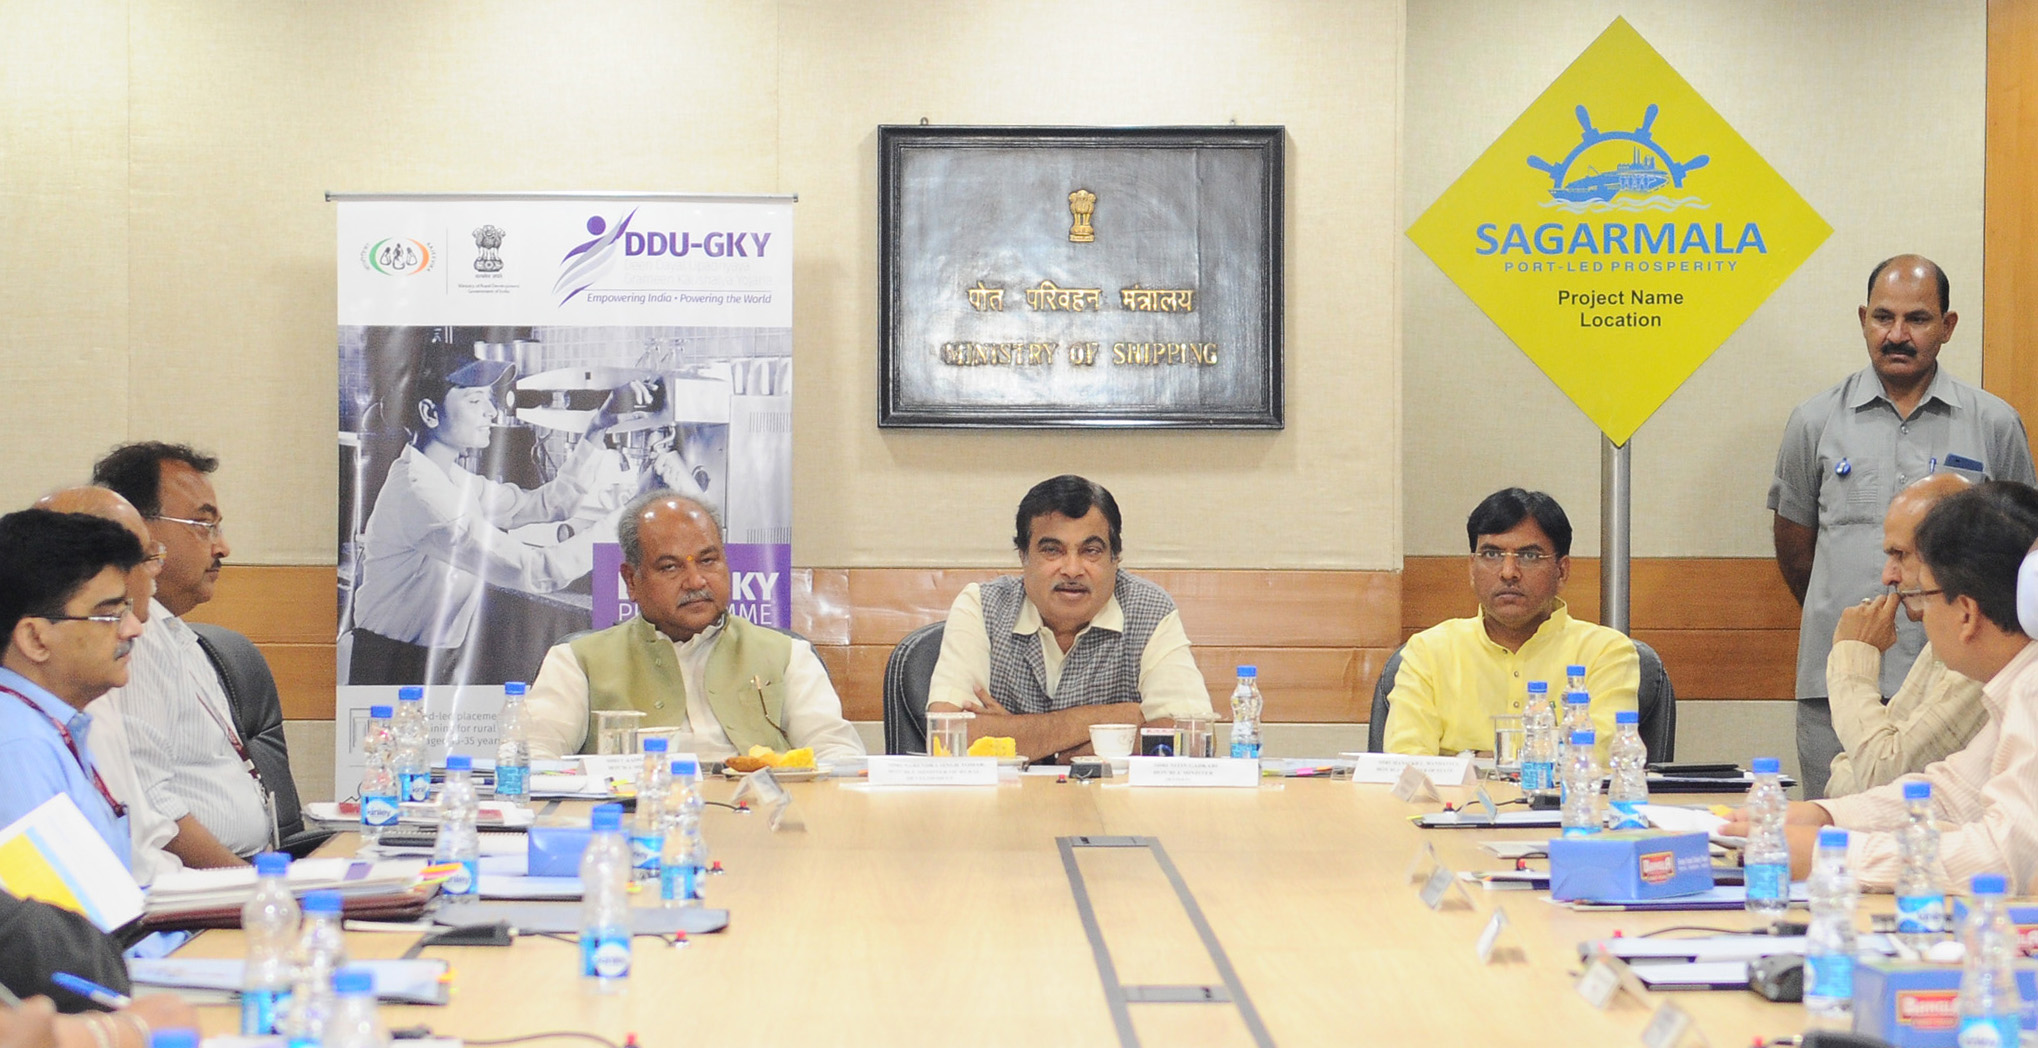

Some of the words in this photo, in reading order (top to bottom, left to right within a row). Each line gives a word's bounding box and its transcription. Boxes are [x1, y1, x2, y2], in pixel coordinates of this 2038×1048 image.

[618, 227, 775, 264] DDU-GKY
[1467, 217, 1771, 261] SAGARMALA
[1496, 255, 1608, 276] PORT-LED
[1609, 257, 1742, 276] PROSPERITY
[584, 285, 651, 309] Empowering
[644, 289, 674, 304] India
[674, 289, 727, 311] Powering
[719, 290, 747, 309] the
[739, 289, 775, 310] World
[962, 275, 1008, 316] पोत
[1022, 279, 1105, 316] परिवहन
[1118, 279, 1198, 319] मंत्रालय
[1553, 283, 1626, 313] Project
[1628, 288, 1684, 309] Name
[1576, 311, 1664, 332] Location
[936, 334, 1059, 367] MINISTRY
[1061, 336, 1104, 374] OF
[1110, 337, 1219, 367] SHIPPING